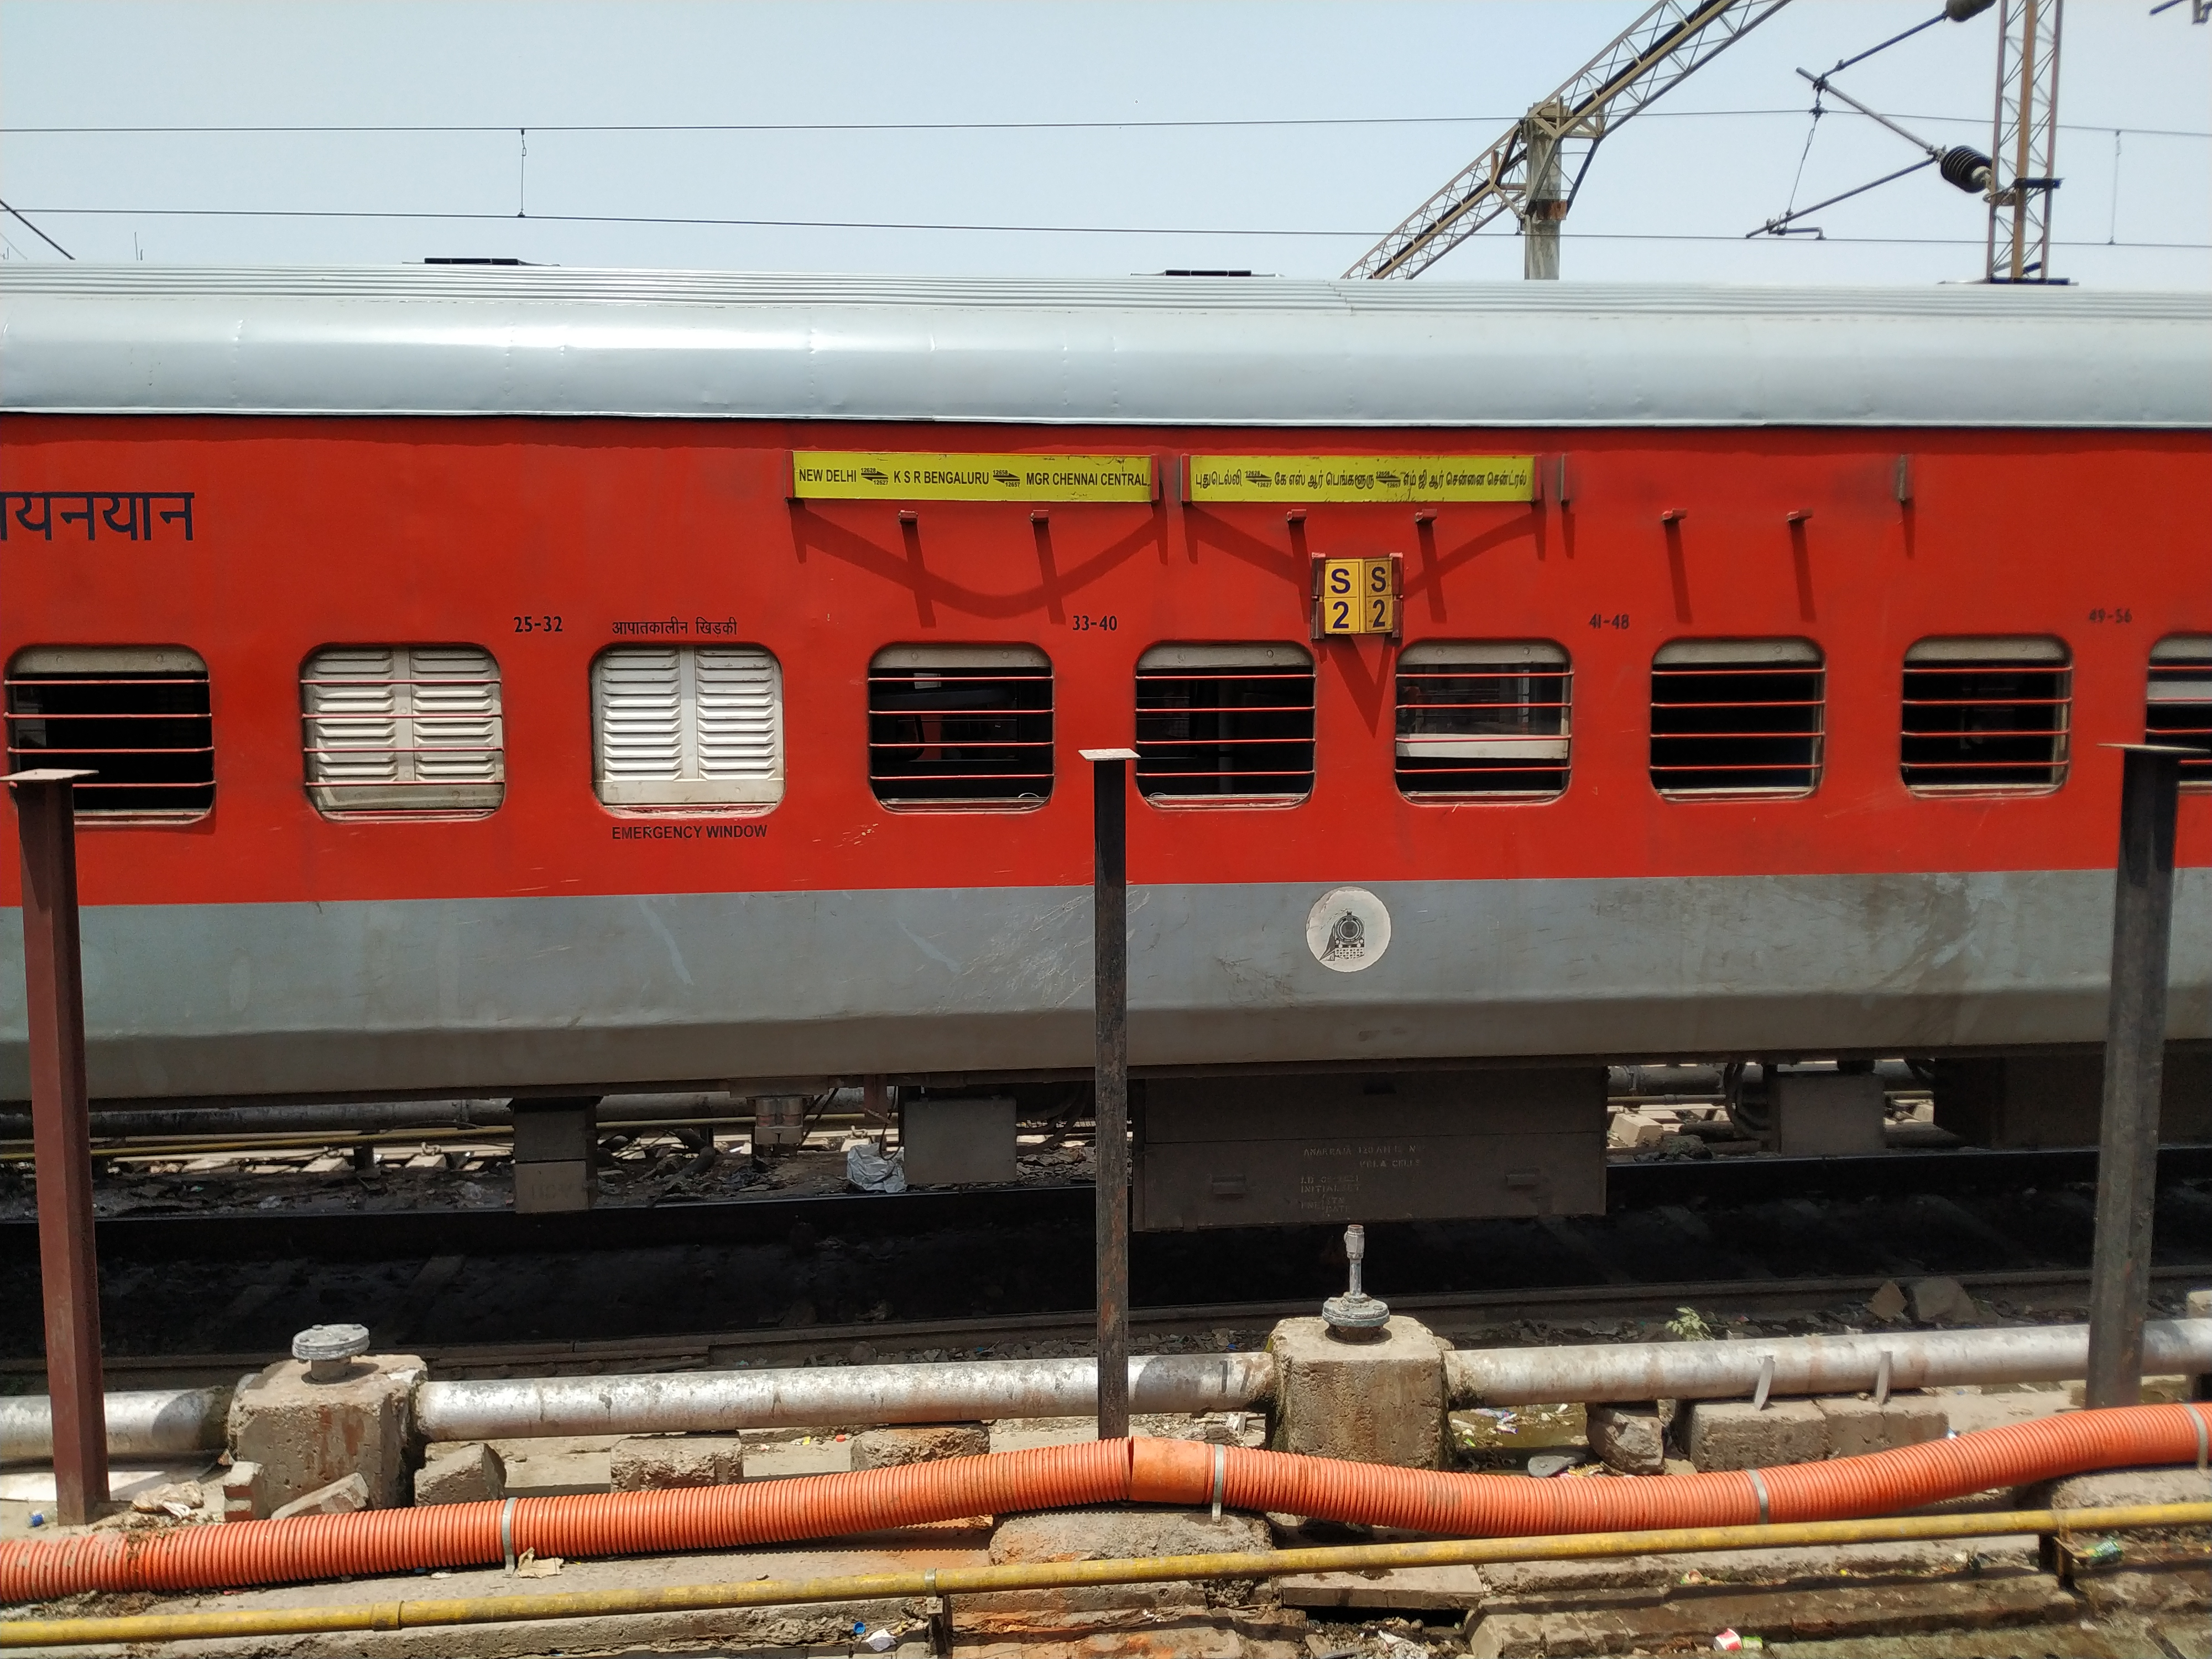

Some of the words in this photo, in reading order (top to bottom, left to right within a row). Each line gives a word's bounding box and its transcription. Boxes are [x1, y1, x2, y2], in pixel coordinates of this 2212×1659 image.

[796, 467, 827, 484] NEW
[824, 467, 861, 484] DELHI
[891, 468, 923, 484] KSR
[922, 469, 992, 487] BENGALURU
[1023, 471, 1052, 489] MGR
[1050, 469, 1101, 491] CHENNAI
[1099, 469, 1148, 489] CENTRAL
[1192, 465, 1244, 493] புதுடெல்லி
[1272, 465, 1376, 493] கே எஸ் ஆர் பெங்களூரு
[1397, 467, 1432, 491] எம் ஜி
[1426, 466, 1449, 493] ஆர்
[1439, 466, 1489, 489] சென்னை
[1480, 467, 1530, 492] சென்ட்ரல்
[0, 487, 197, 545] यनयान
[1323, 565, 1354, 631] S2
[1363, 563, 1390, 630] S2
[502, 606, 568, 643] 25-32
[612, 611, 691, 639] आपातकालीन
[689, 611, 741, 639] खिड़की
[1070, 611, 1120, 639] 33-40
[608, 822, 706, 843] EMERGENCY
[703, 822, 770, 841] WINDOW